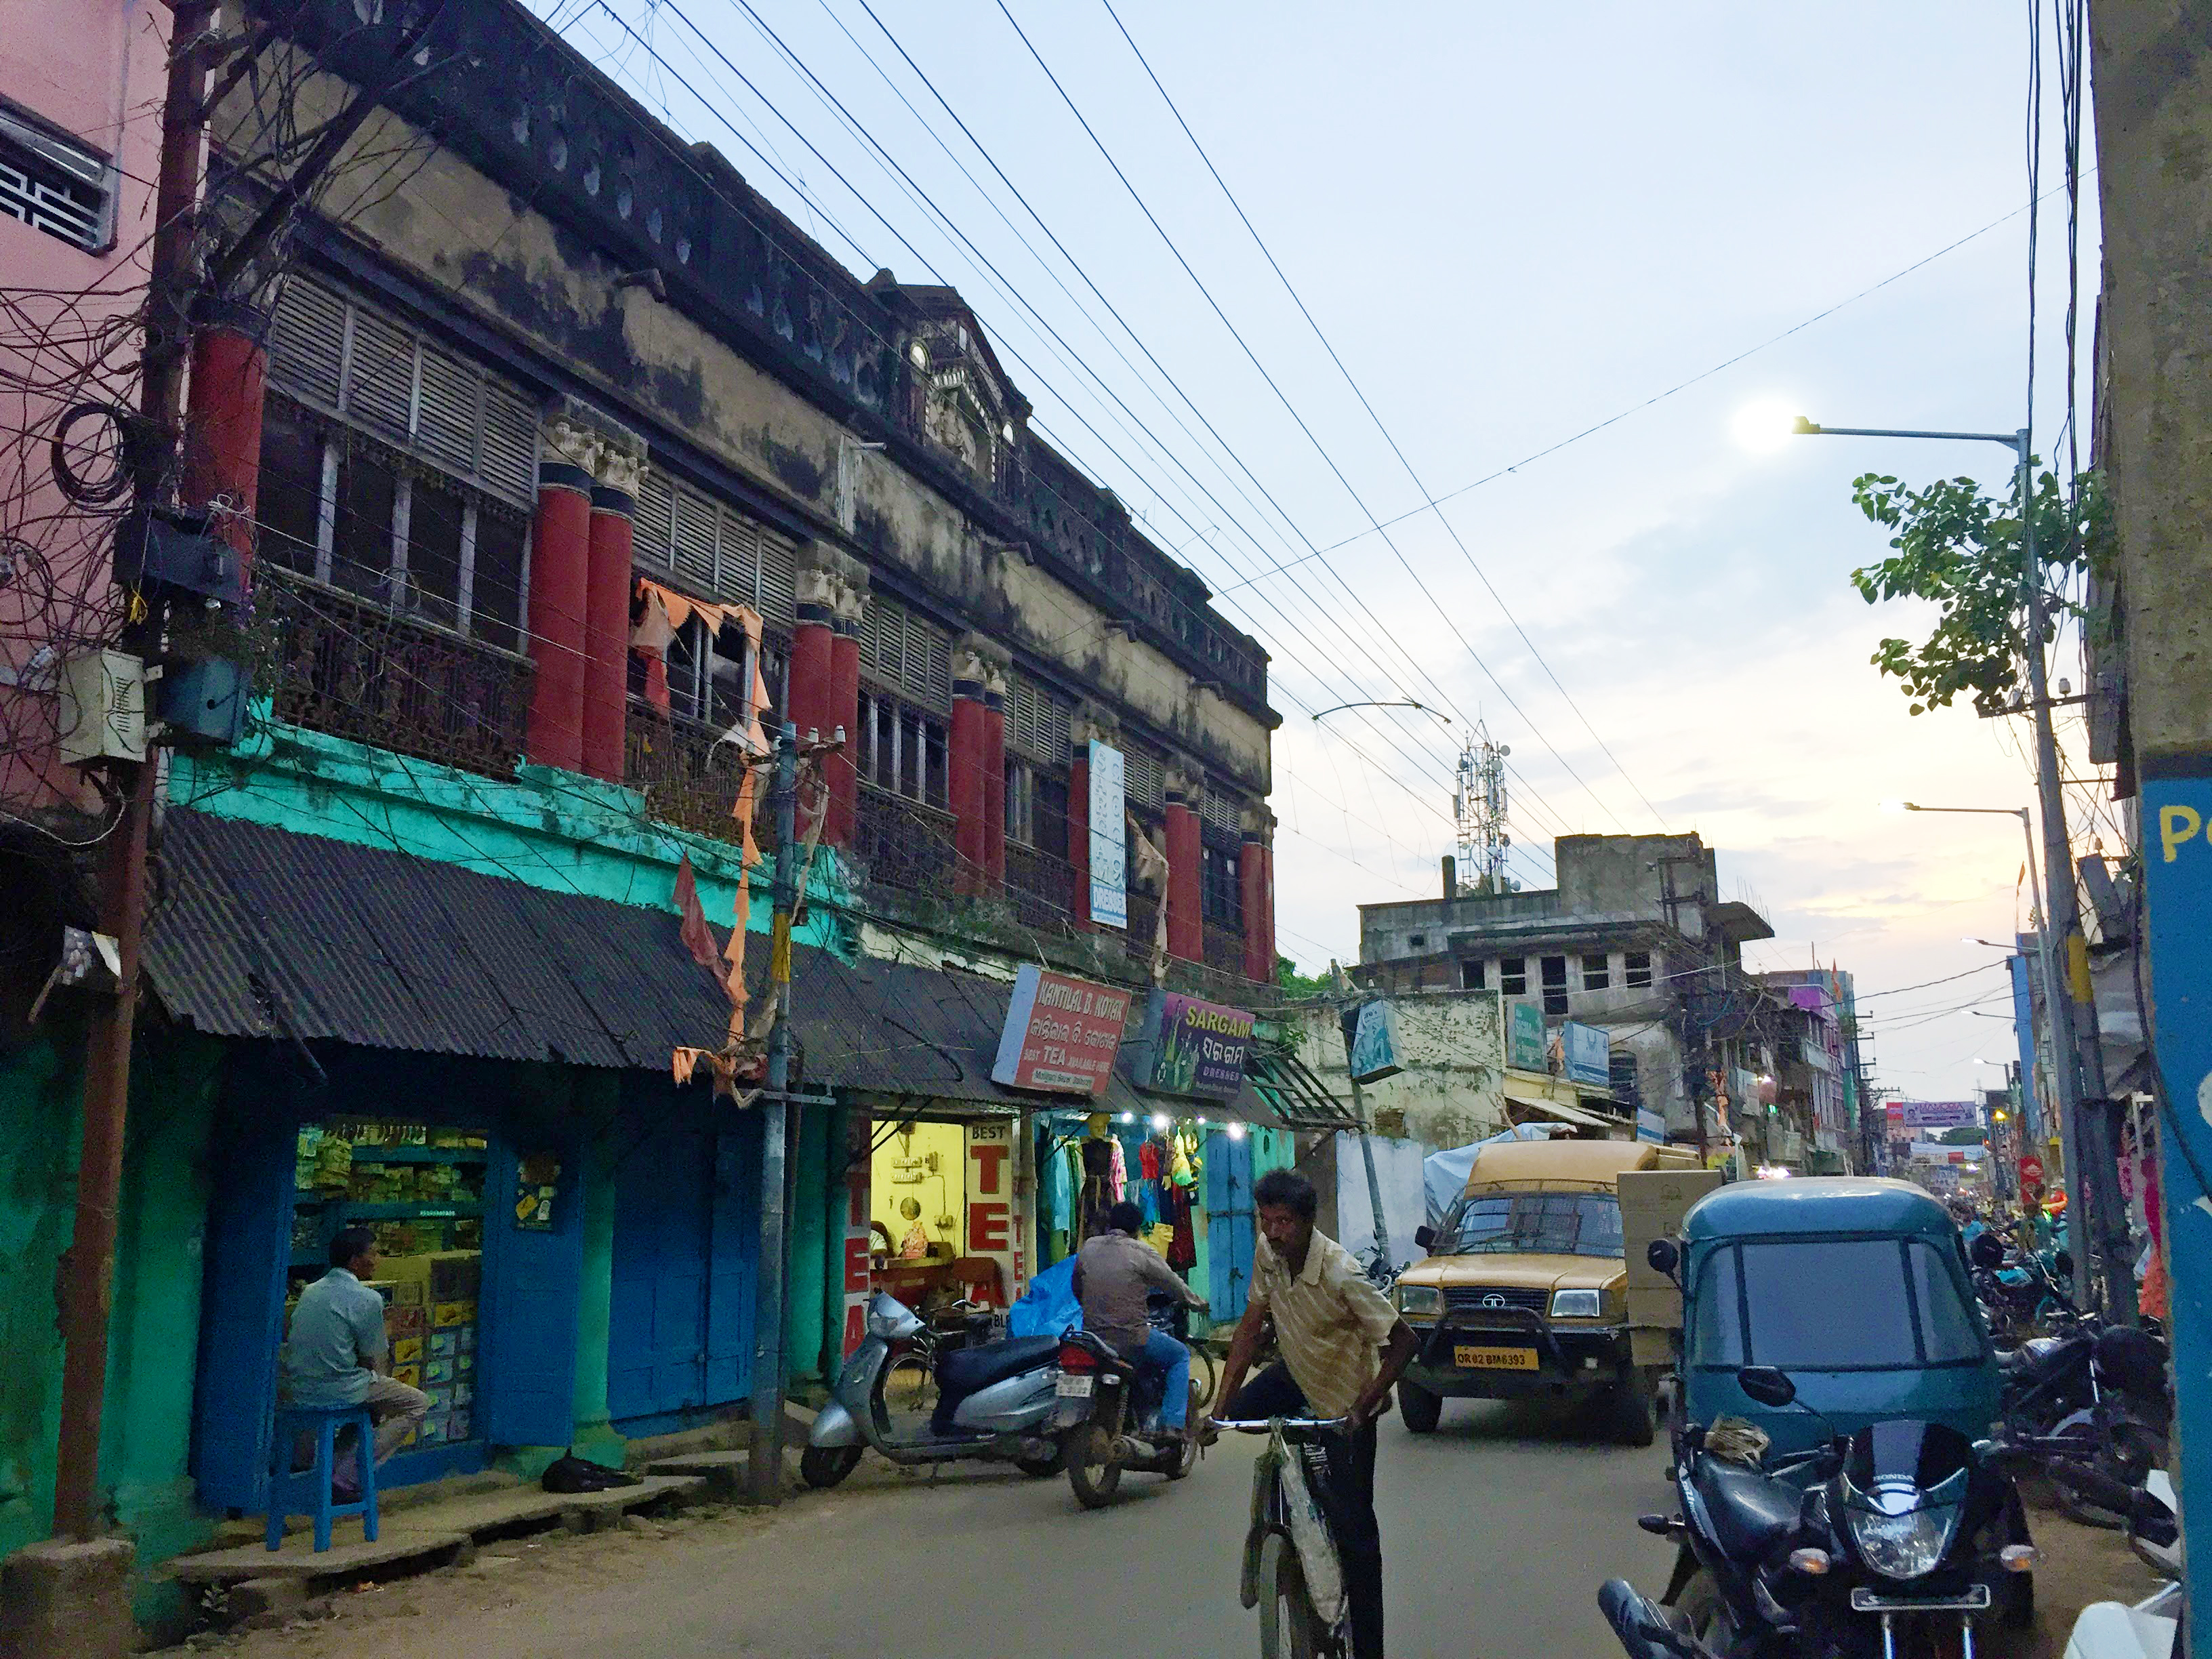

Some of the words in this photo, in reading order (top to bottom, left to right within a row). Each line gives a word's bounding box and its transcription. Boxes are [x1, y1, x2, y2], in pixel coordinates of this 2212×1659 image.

[2150, 794, 2207, 875] P
[1035, 977, 1094, 1019] KANTILALB
[1069, 1017, 1086, 1048] ବି.
[1088, 993, 1128, 1027] KOTAK
[1180, 1002, 1253, 1043] SARGAM
[1040, 1042, 1069, 1069] TEA
[1200, 1034, 1248, 1070] ସରଗମ୍